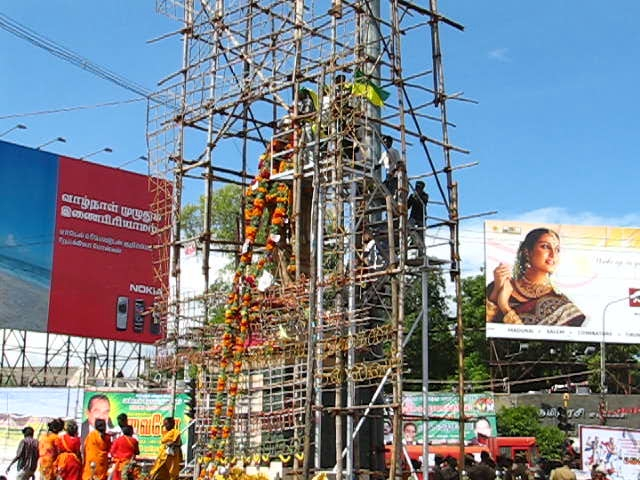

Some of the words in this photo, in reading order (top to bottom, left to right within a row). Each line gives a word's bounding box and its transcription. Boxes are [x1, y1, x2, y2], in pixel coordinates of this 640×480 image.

[55, 187, 121, 215] வாழ்நபள்